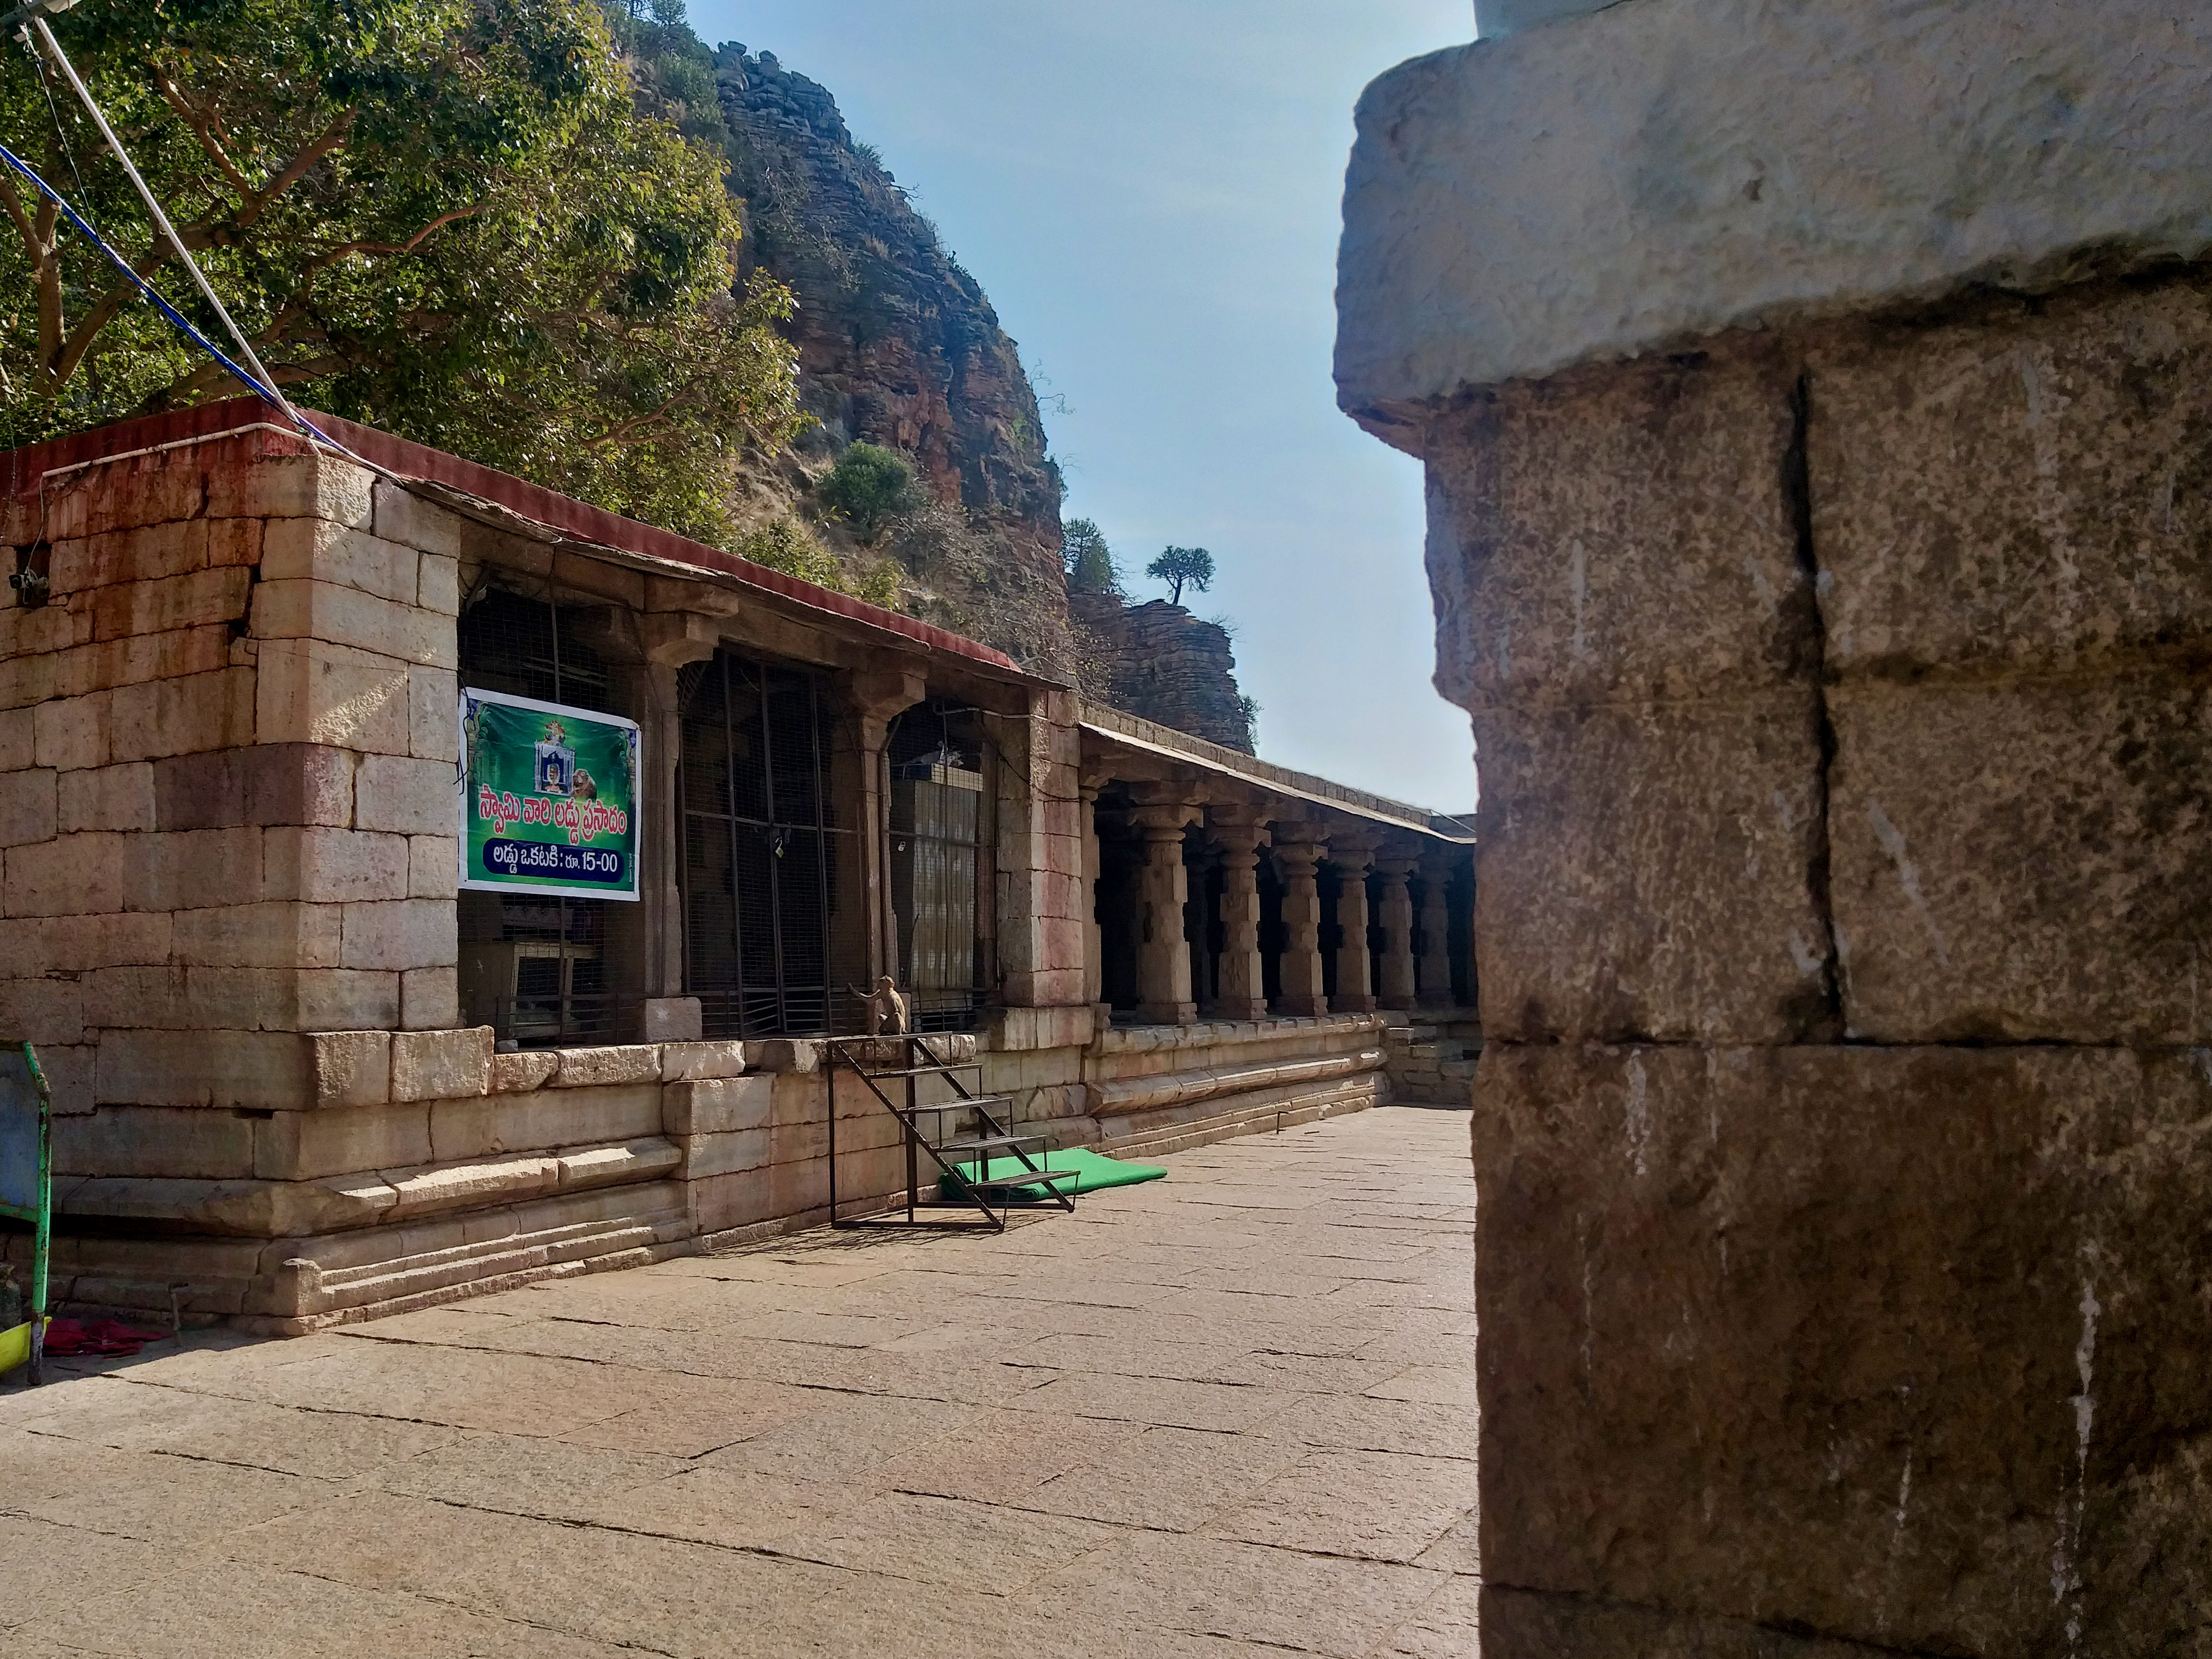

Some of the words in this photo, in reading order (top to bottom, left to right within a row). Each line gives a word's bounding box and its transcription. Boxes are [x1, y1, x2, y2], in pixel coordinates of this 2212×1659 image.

[477, 782, 522, 834] స్వామి
[522, 795, 553, 828] వారి
[553, 793, 585, 846] లడ్డు
[578, 797, 629, 843] ప్రసాదం
[491, 840, 522, 875] లడ్డు
[519, 842, 561, 868] ఒకటకి
[564, 852, 583, 873] రూ.
[581, 849, 620, 876] 15-00